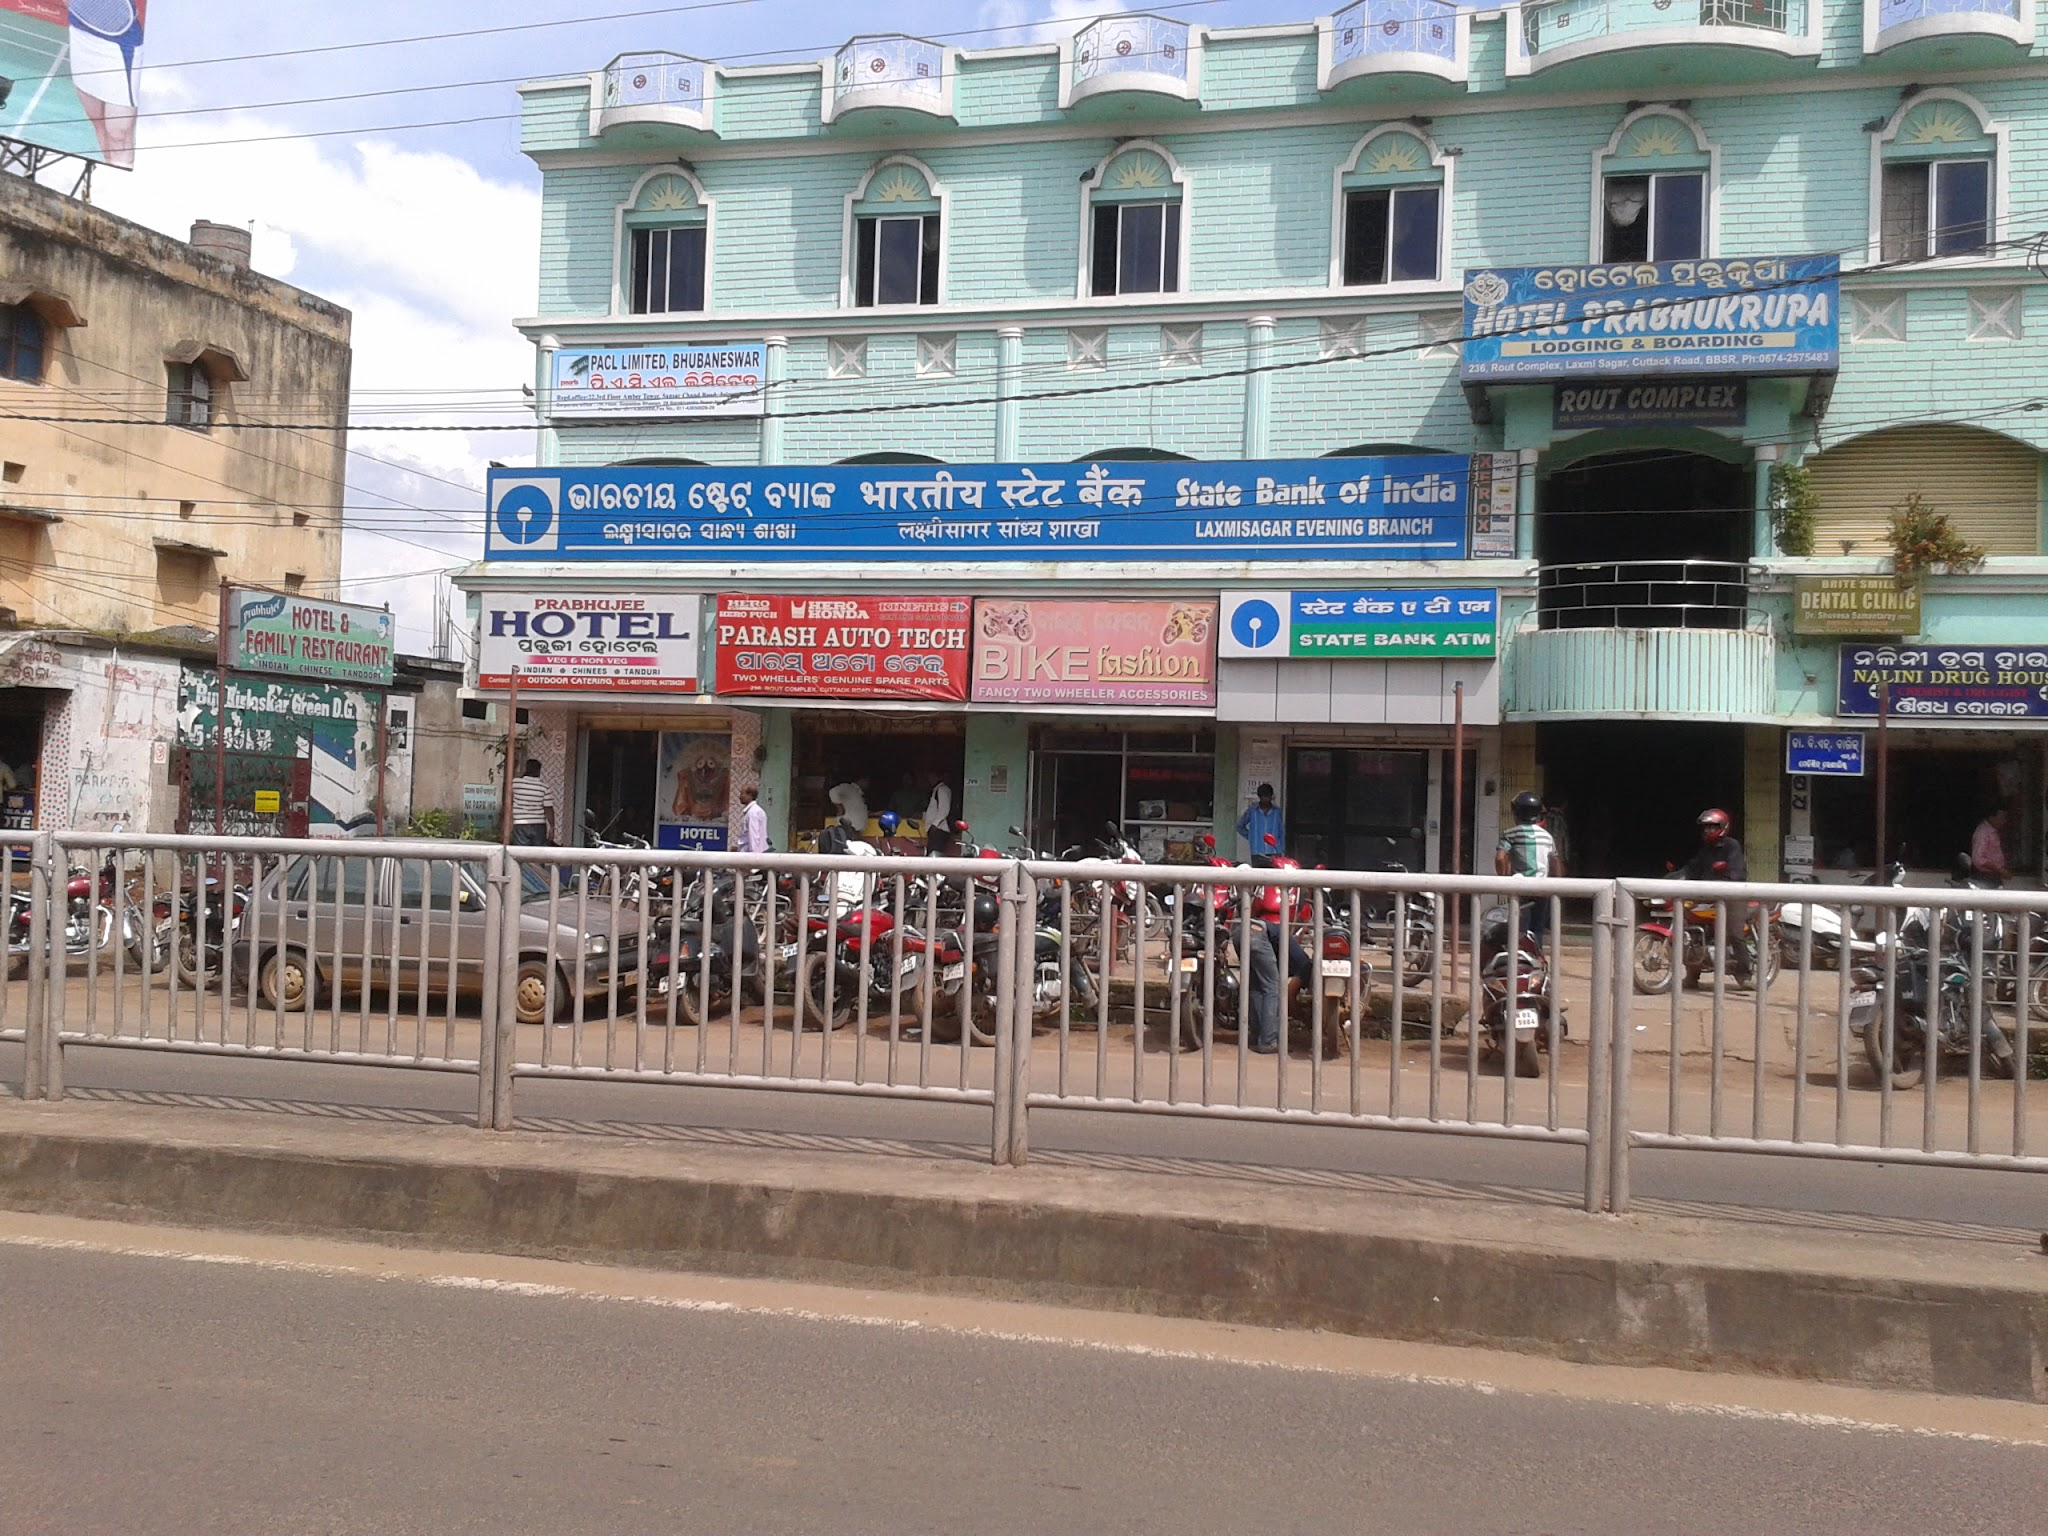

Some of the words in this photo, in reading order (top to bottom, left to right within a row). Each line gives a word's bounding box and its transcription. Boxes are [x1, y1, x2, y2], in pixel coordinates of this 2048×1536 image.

[1528, 257, 1665, 296] ହୋଟେଲ
[1666, 250, 1792, 294] ପ୍ରସ୍ତୁକୃପା
[1466, 293, 1571, 344] HOTEL
[1575, 289, 1831, 335] PRABHUKRUPA
[585, 349, 625, 375] PACL
[617, 342, 672, 376] LIMITED,
[667, 341, 764, 370] BHUBANESWAR
[1484, 353, 1566, 376] RoutComplex,
[1525, 330, 1626, 358] LODGING
[1561, 353, 1632, 372] LaxmiSagar,
[1627, 334, 1649, 351] &
[1626, 350, 1673, 371] Cuttack
[1669, 351, 1705, 370] Road,
[1649, 330, 1769, 354] BOARDING
[1700, 352, 1743, 369] BBSR.
[1737, 347, 1835, 367] Ph:0674-2575483
[583, 367, 683, 392] ପି.ଏ.ସି.ଏଲ
[677, 365, 761, 394] ଲିମିଟେତ
[1553, 382, 1624, 415] ROUT
[1623, 380, 1743, 414] COMPLEX
[563, 475, 683, 515] ଭାରତୀୟ
[684, 475, 759, 518] ଷ୍ଟେଟ୍
[759, 473, 839, 515] ବ୍ୟାଙ୍କ
[856, 465, 991, 517] भारतीय
[993, 463, 1071, 512] स्टेट
[1072, 460, 1149, 513] बैंक
[1171, 474, 1243, 511] State
[1251, 472, 1327, 509] Bank
[1333, 467, 1377, 507] of
[1375, 467, 1458, 511] India
[601, 513, 692, 543] ଲକ୍ଷ୍ମୀସାଗର
[698, 518, 747, 543] ସାନ୍ଧ୍ୟ
[751, 515, 799, 545] ଶାଖା
[893, 509, 991, 543] लक्ष्मीसागर
[995, 509, 1045, 544] सांध्य
[1047, 515, 1102, 544] शाखा
[1190, 513, 1295, 541] LAXMISAGAR
[1291, 513, 1367, 539] EVENING
[1363, 509, 1438, 543] BRANCH
[243, 626, 301, 661] FAMILY
[251, 655, 293, 673] INDIAN
[285, 602, 339, 636] HOTEL
[291, 658, 339, 681] CHINESE
[330, 608, 353, 638] &
[299, 631, 393, 671] RESTAURANT
[336, 665, 386, 685] TANDOORI
[517, 664, 556, 678] INDIAN
[510, 634, 579, 659] ପ୍ରଭୁଜୀ
[523, 671, 573, 688] OUTDOOR
[542, 651, 570, 669] VEG
[569, 662, 612, 679] CHINEES
[533, 592, 649, 617] PRABHUJEE
[567, 671, 615, 688] CATERINO,
[486, 605, 697, 643] HOTEL
[577, 653, 631, 670] NON-VEG
[574, 634, 661, 660] ହୋଟେଲ
[619, 666, 663, 679] TANDURI
[729, 669, 761, 687] TWO
[729, 645, 808, 675] ପାରସ୍
[715, 621, 823, 652] PARASH
[754, 667, 823, 689] WHELLERS
[805, 649, 881, 678] ଅଚୋ
[817, 670, 875, 687] GENUINE
[819, 621, 895, 657] AUTO
[869, 668, 916, 692] SPARE
[879, 647, 948, 682] ଟେକ୍
[891, 621, 969, 653] TECH
[910, 670, 954, 690] PARTS
[975, 681, 1025, 704] FANCY
[976, 640, 1095, 686] BIKE
[1017, 683, 1055, 703] TWO
[1049, 685, 1117, 705] WHEELER
[1093, 641, 1204, 680] fashion
[1115, 685, 1213, 705] ACCESSORIES
[1292, 589, 1350, 619] स्टेट
[1293, 627, 1372, 651] STATE
[1342, 589, 1399, 622] बैंक
[1367, 627, 1440, 650] BANK
[1394, 598, 1420, 620] ए
[1417, 586, 1453, 619] टी
[1442, 626, 1494, 651] ATM
[1455, 596, 1497, 623] एम
[1797, 585, 1862, 613] DENTAL
[1847, 659, 1927, 689] NALINI
[1857, 583, 1921, 613] CLINIC
[1849, 635, 1935, 673] ନଳିନୀ
[1889, 690, 1952, 719] ଔଷଧ
[1925, 657, 1993, 691] DRUG
[1931, 641, 1991, 676] ଡ୍ରଗ୍
[1951, 694, 2035, 721] ଦୋକାନ
[1786, 729, 1836, 757] ତା.ଦି.ଏଳ୍.